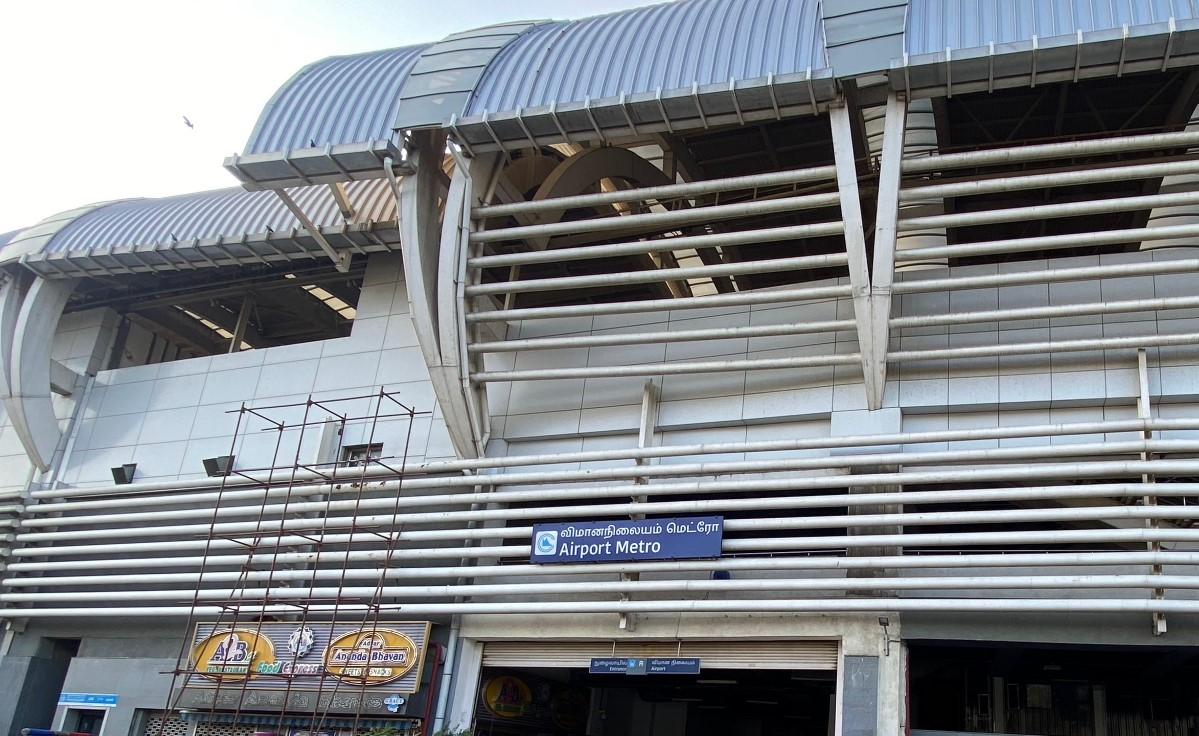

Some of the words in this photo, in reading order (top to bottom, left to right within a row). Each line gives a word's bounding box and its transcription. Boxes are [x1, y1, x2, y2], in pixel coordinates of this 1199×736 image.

[558, 519, 668, 543] விமானநிலையம்
[660, 513, 724, 540] எமட்ரோ
[553, 539, 617, 561] Airport
[613, 531, 667, 561] Metro
[332, 645, 411, 668] Ananda Bhavan